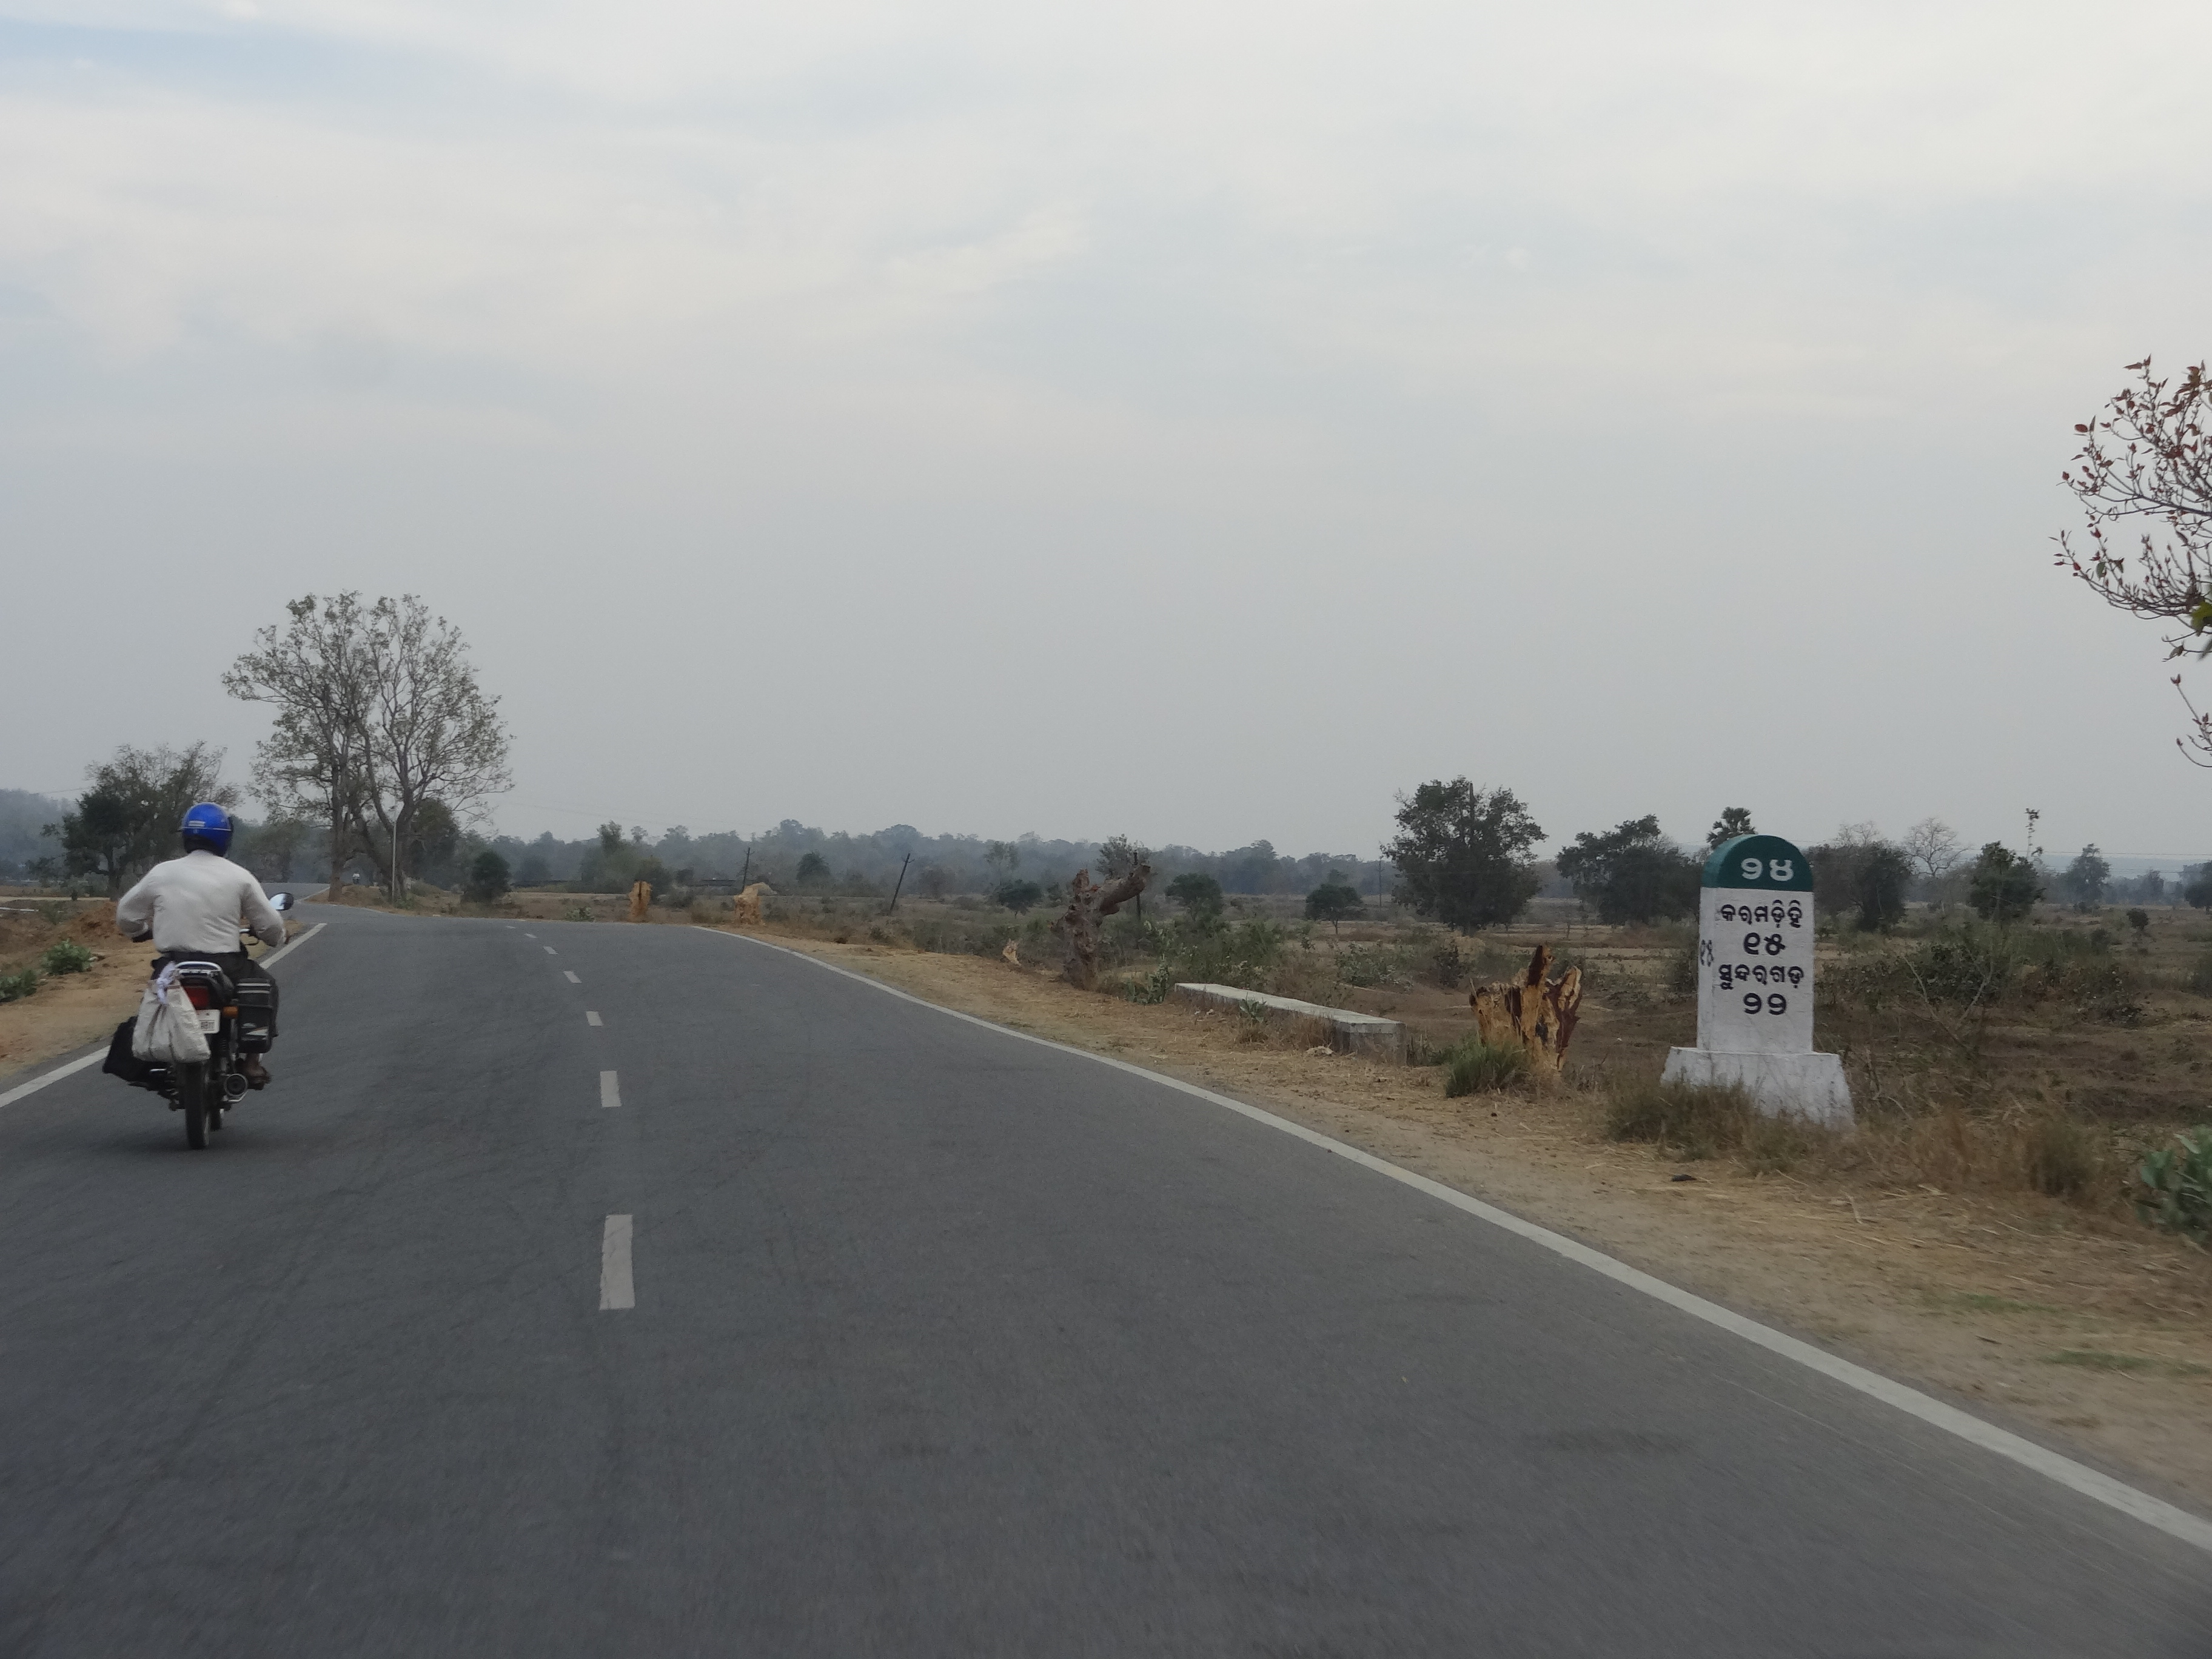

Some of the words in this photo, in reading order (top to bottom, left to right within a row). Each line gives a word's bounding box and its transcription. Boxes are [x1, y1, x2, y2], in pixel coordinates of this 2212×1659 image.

[1737, 850, 1798, 883] ୨୪
[1719, 894, 1808, 930] କରମଡ଼ିହି
[1738, 927, 1789, 958] ୧୫
[1712, 958, 1808, 994] ସୁଦରଗଡ଼
[1741, 987, 1791, 1019] 99